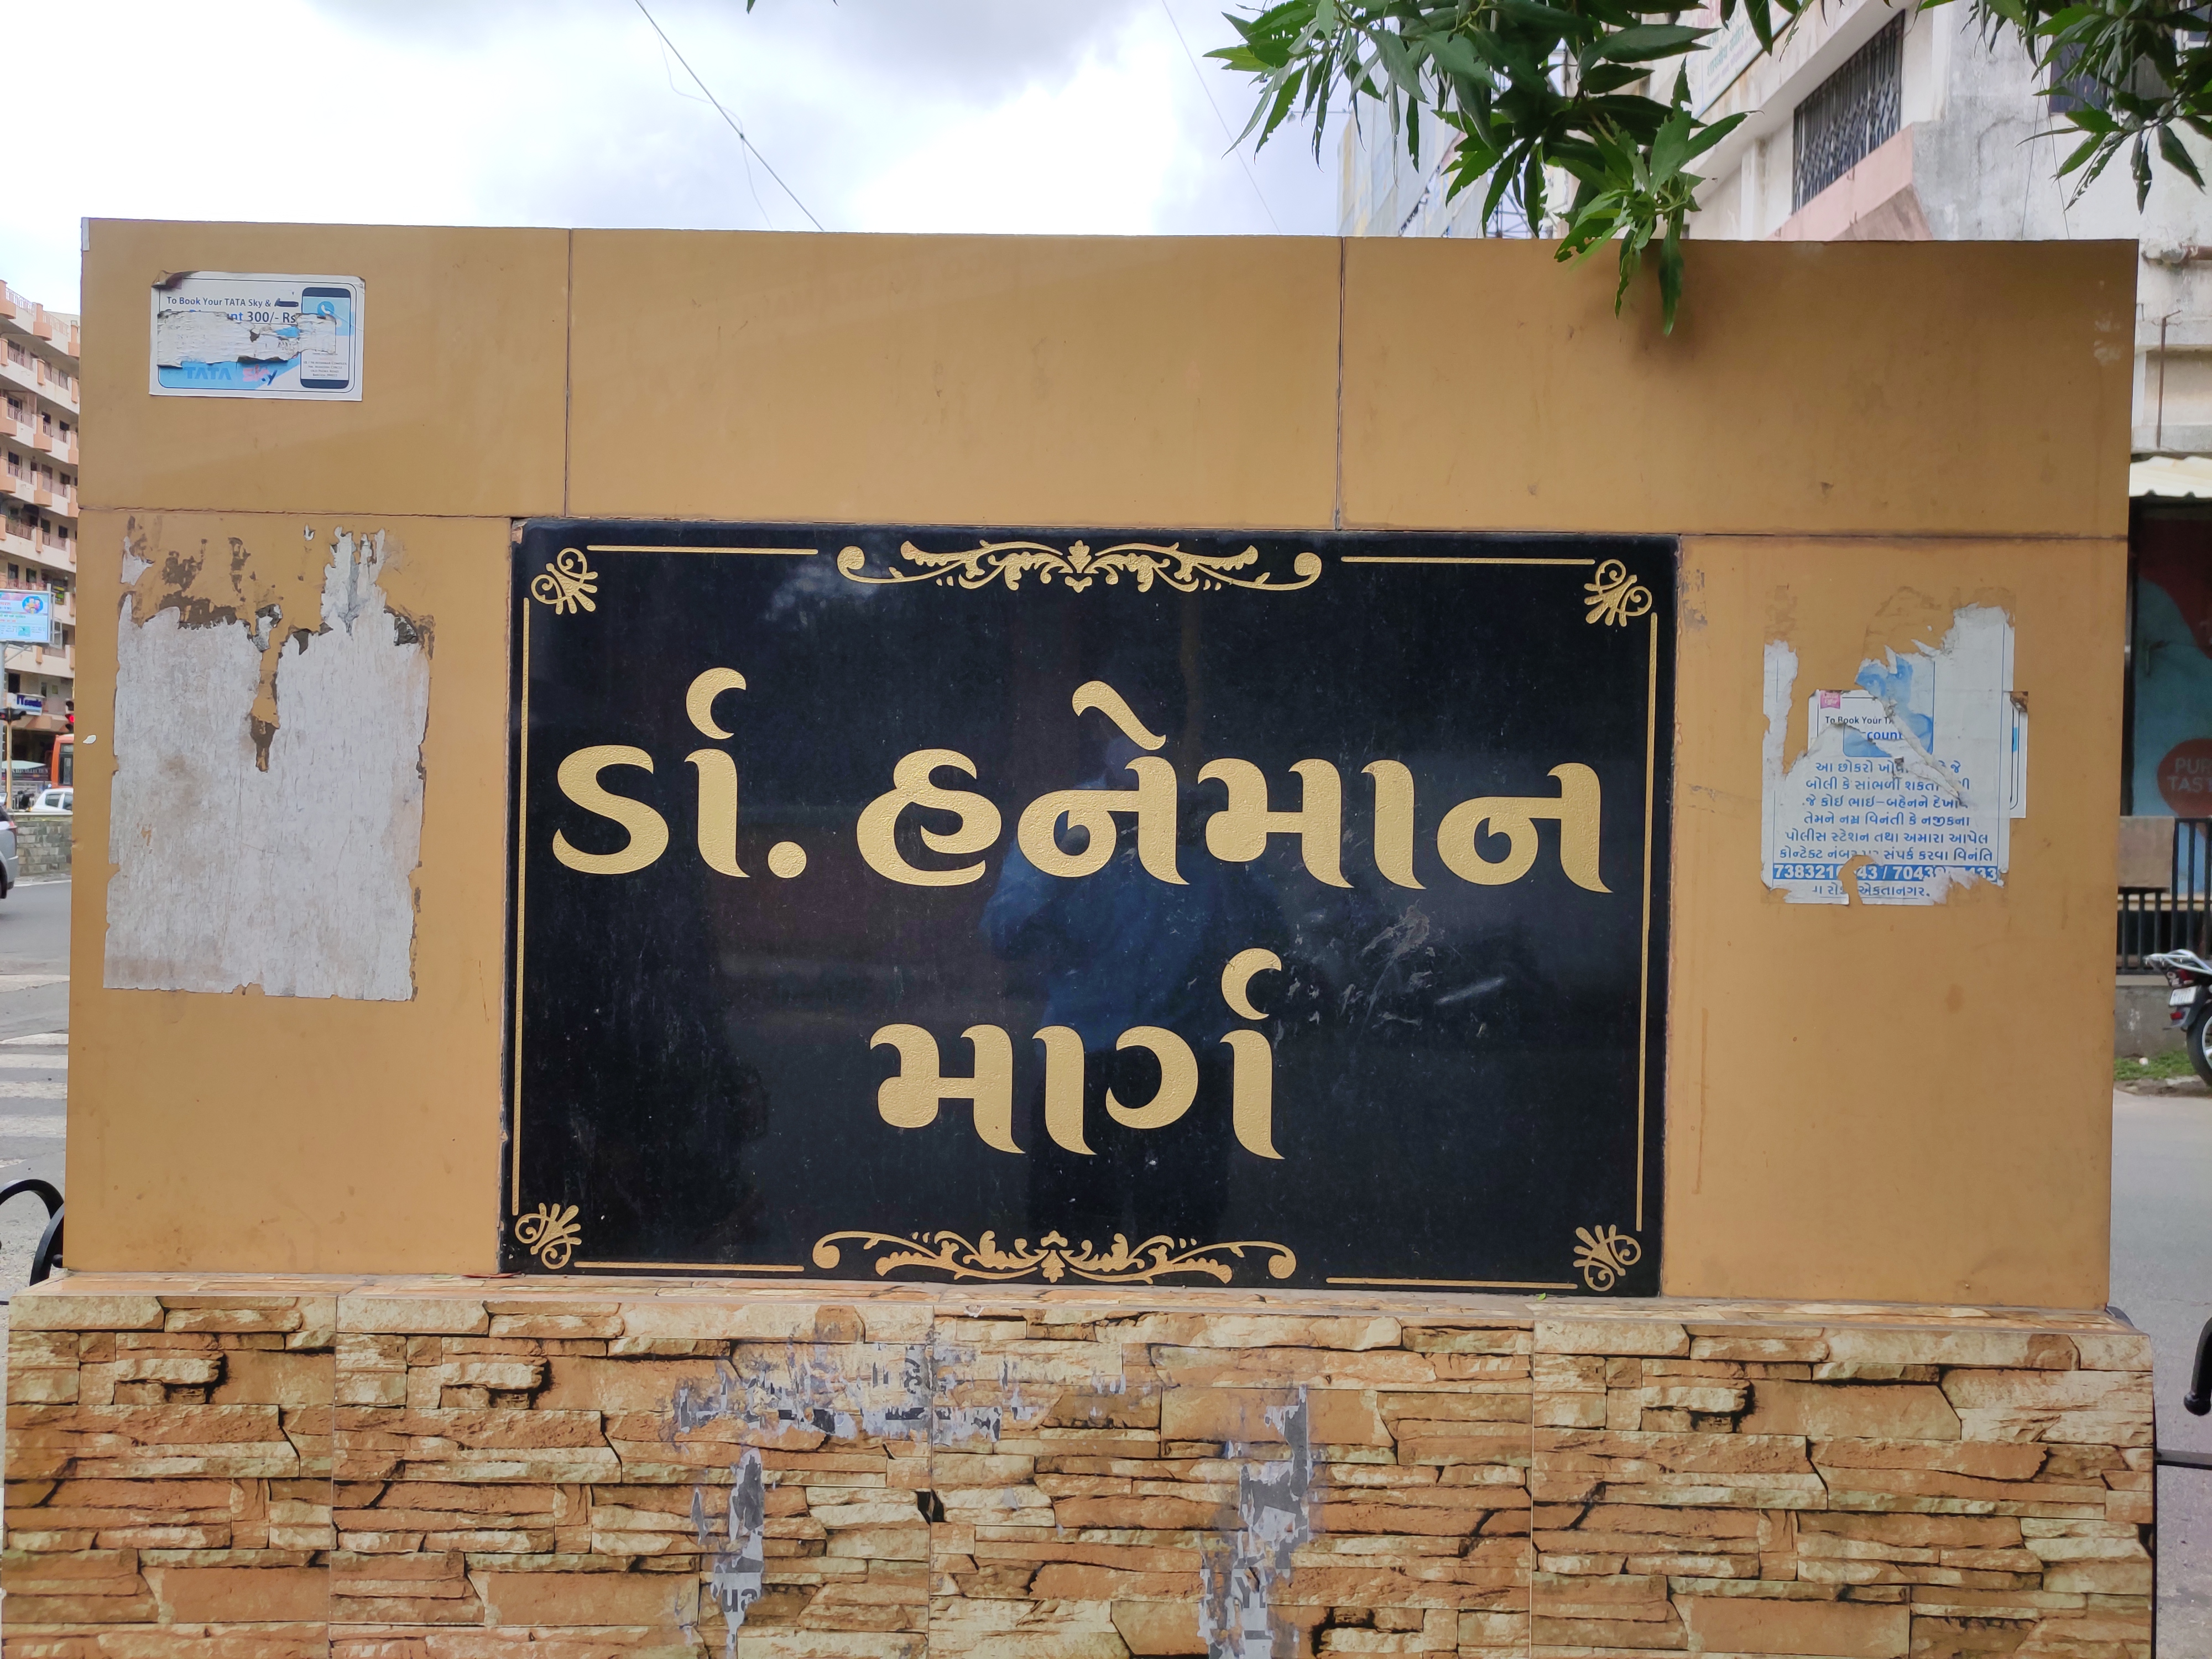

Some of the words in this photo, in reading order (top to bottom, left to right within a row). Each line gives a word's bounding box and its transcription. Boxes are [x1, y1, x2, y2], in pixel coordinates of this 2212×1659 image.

[163, 295, 179, 308] To
[178, 294, 202, 306] Book
[201, 296, 224, 309] Your
[224, 297, 247, 308] 7474
[247, 298, 263, 309] Sky
[246, 308, 281, 324] 300/-
[182, 366, 232, 381] TATA
[238, 362, 281, 387] sky
[1814, 759, 1835, 774] આ
[1836, 758, 1876, 775] છોકરો
[540, 659, 832, 900] ર્ડા.
[848, 671, 1625, 910] હનેમાન
[1804, 774, 1839, 791] બોલી
[1840, 774, 1851, 791] કે
[1854, 774, 1903, 792] સાભળી
[1803, 791, 1819, 809] જે
[1818, 793, 1845, 808] કોઇ
[1846, 793, 1879, 808] ભાઇ
[1885, 791, 1931, 810] બહેનને
[1803, 810, 1837, 828] તેમને
[1837, 810, 1862, 828] નમ્ર
[1863, 807, 1906, 828] વિનંતી
[1907, 809, 1920, 828] કે
[1919, 812, 1973, 830] નજીકના
[1782, 825, 1829, 844] પોલીસ
[1829, 826, 1871, 846] સ્ટેશન
[1872, 830, 1902, 844] તથા
[1902, 829, 1946, 845] અમારા
[1946, 828, 1993, 847] આ૫ેલ
[1778, 842, 1824, 861] કોન્ટેકટ
[1881, 844, 1917, 863] સંપર્ક
[1916, 847, 1951, 864] કરવા
[1951, 844, 1995, 864] વિનંતી
[1771, 864, 1835, 879] 738321
[1890, 865, 1924, 880] 704
[1858, 880, 1925, 898] એકતાનગર
[863, 947, 1302, 1177] માર્ગ